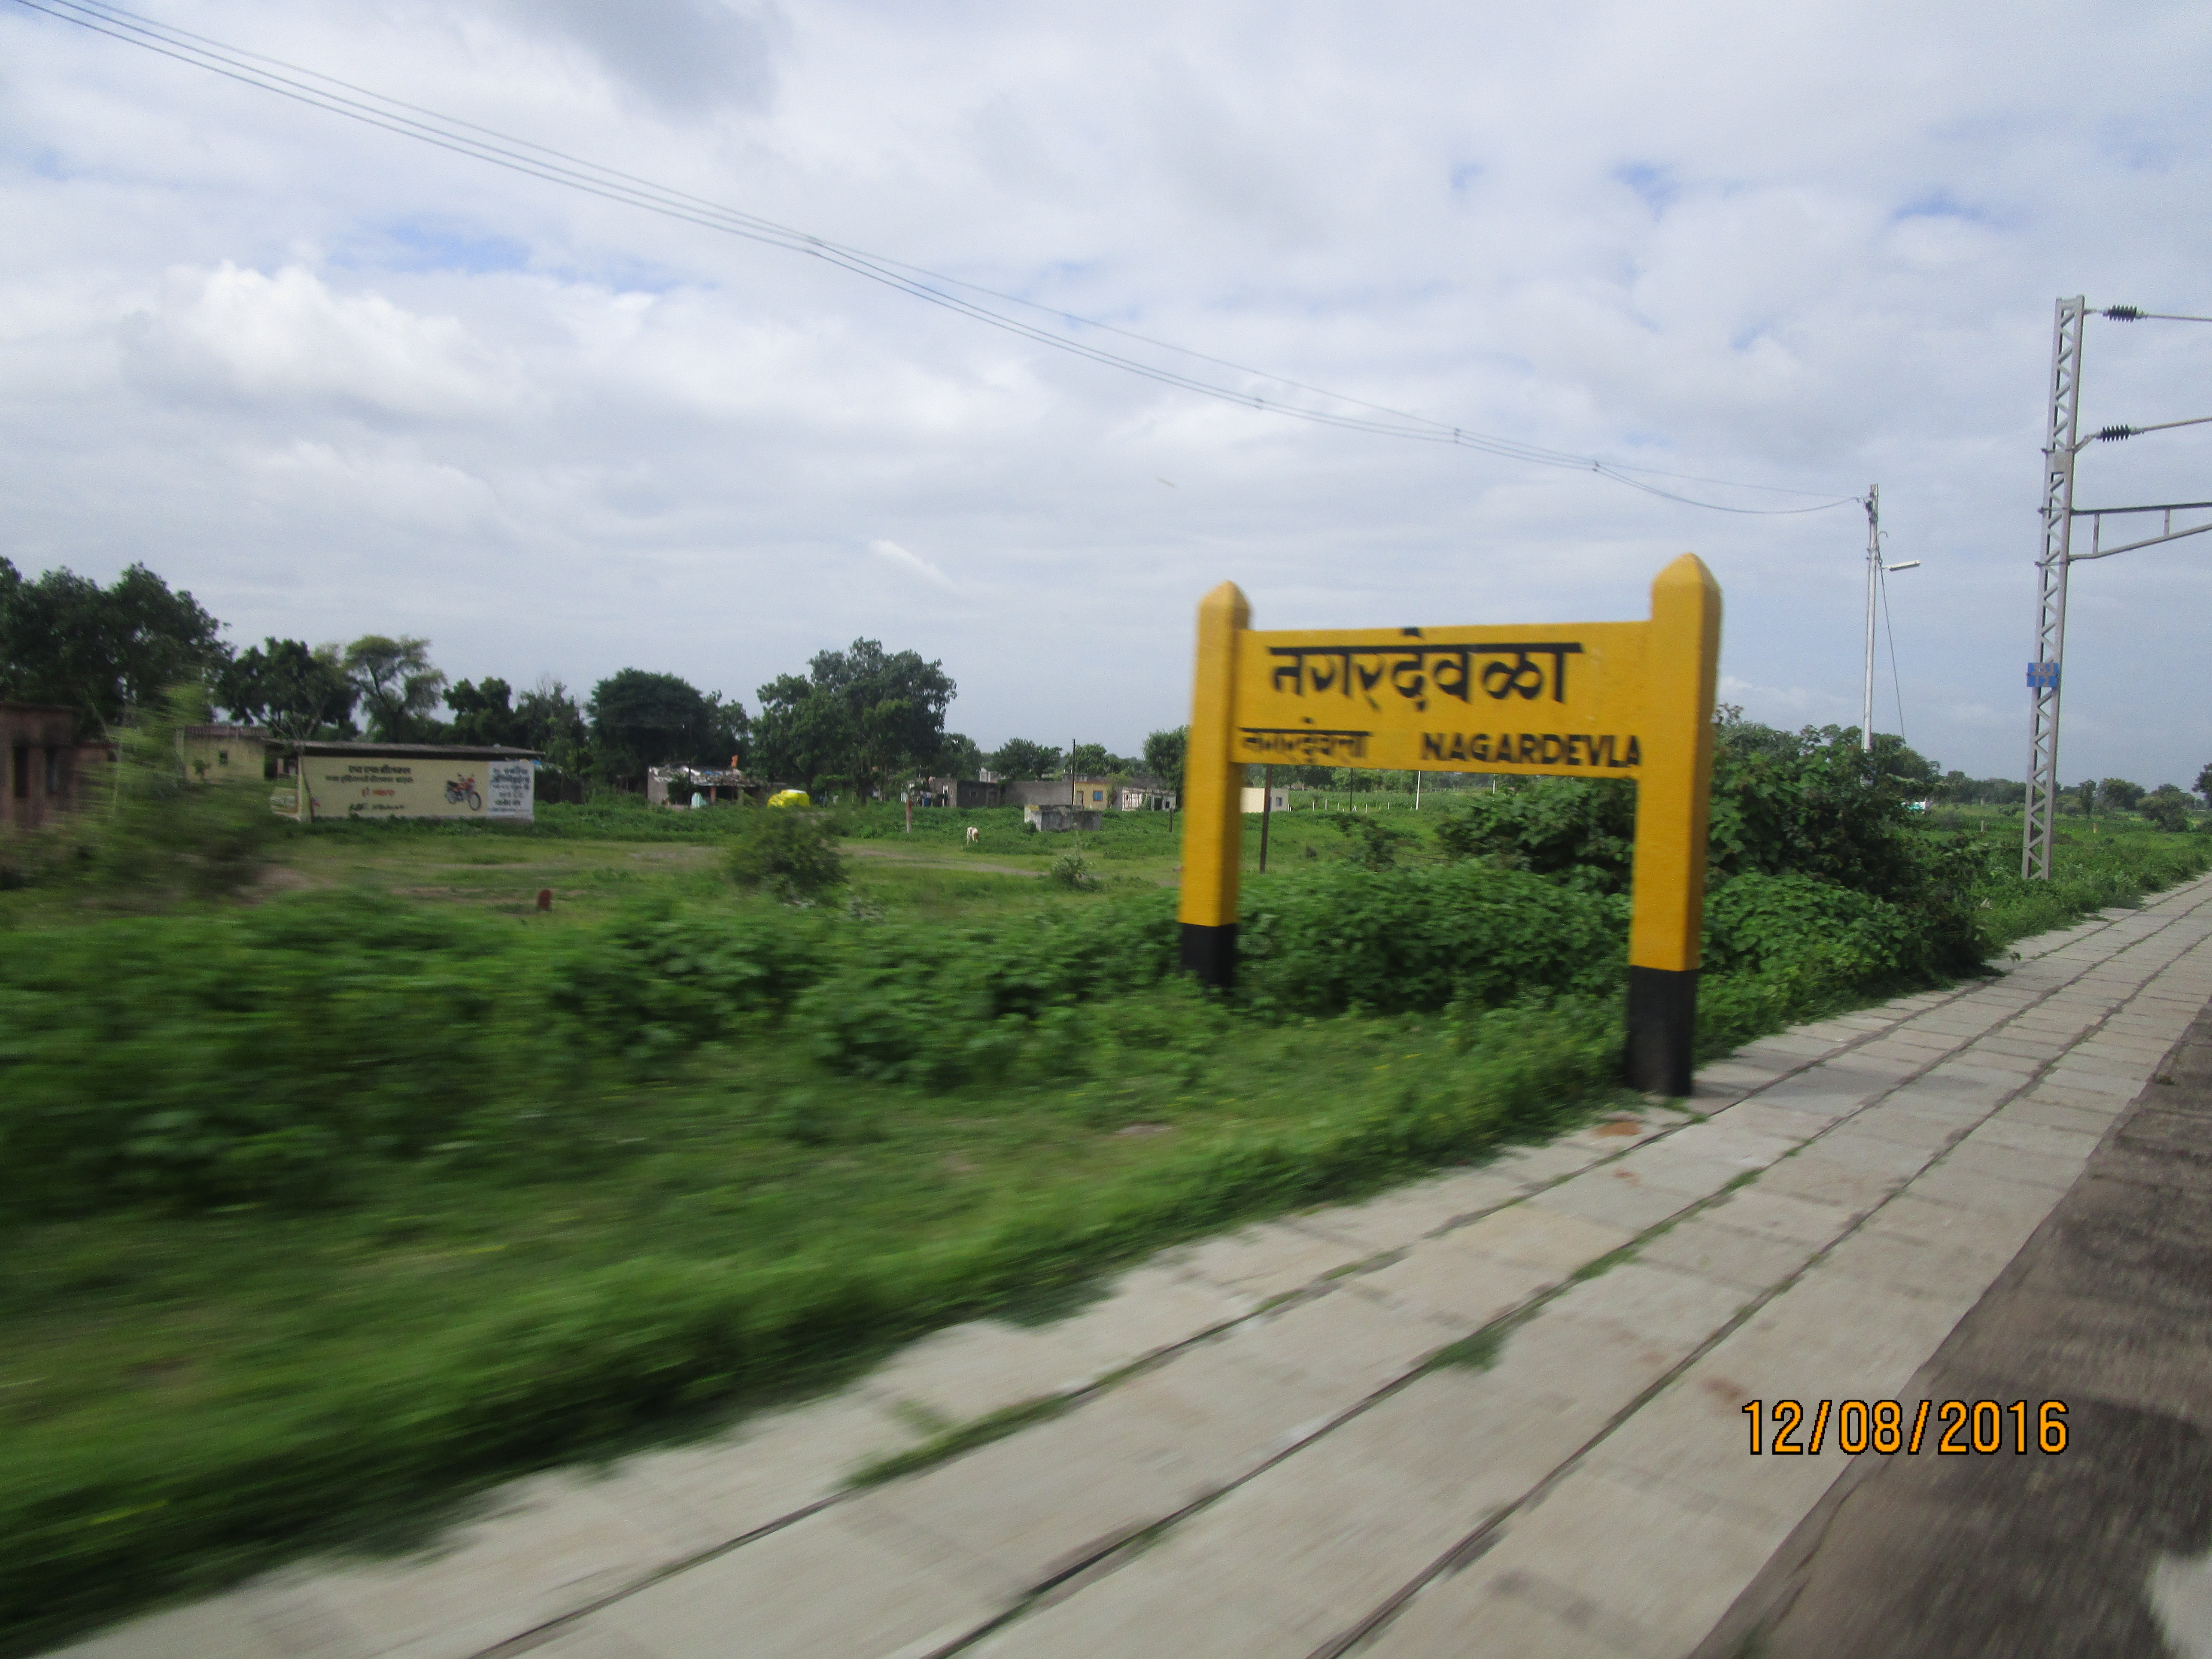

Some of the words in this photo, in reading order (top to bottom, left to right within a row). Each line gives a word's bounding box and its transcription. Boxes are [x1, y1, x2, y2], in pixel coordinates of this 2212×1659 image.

[1260, 611, 1588, 714] नगरदेवळा
[1412, 724, 1644, 775] NAGARDEVLA
[1739, 1395, 2081, 1461] 12/08/2016